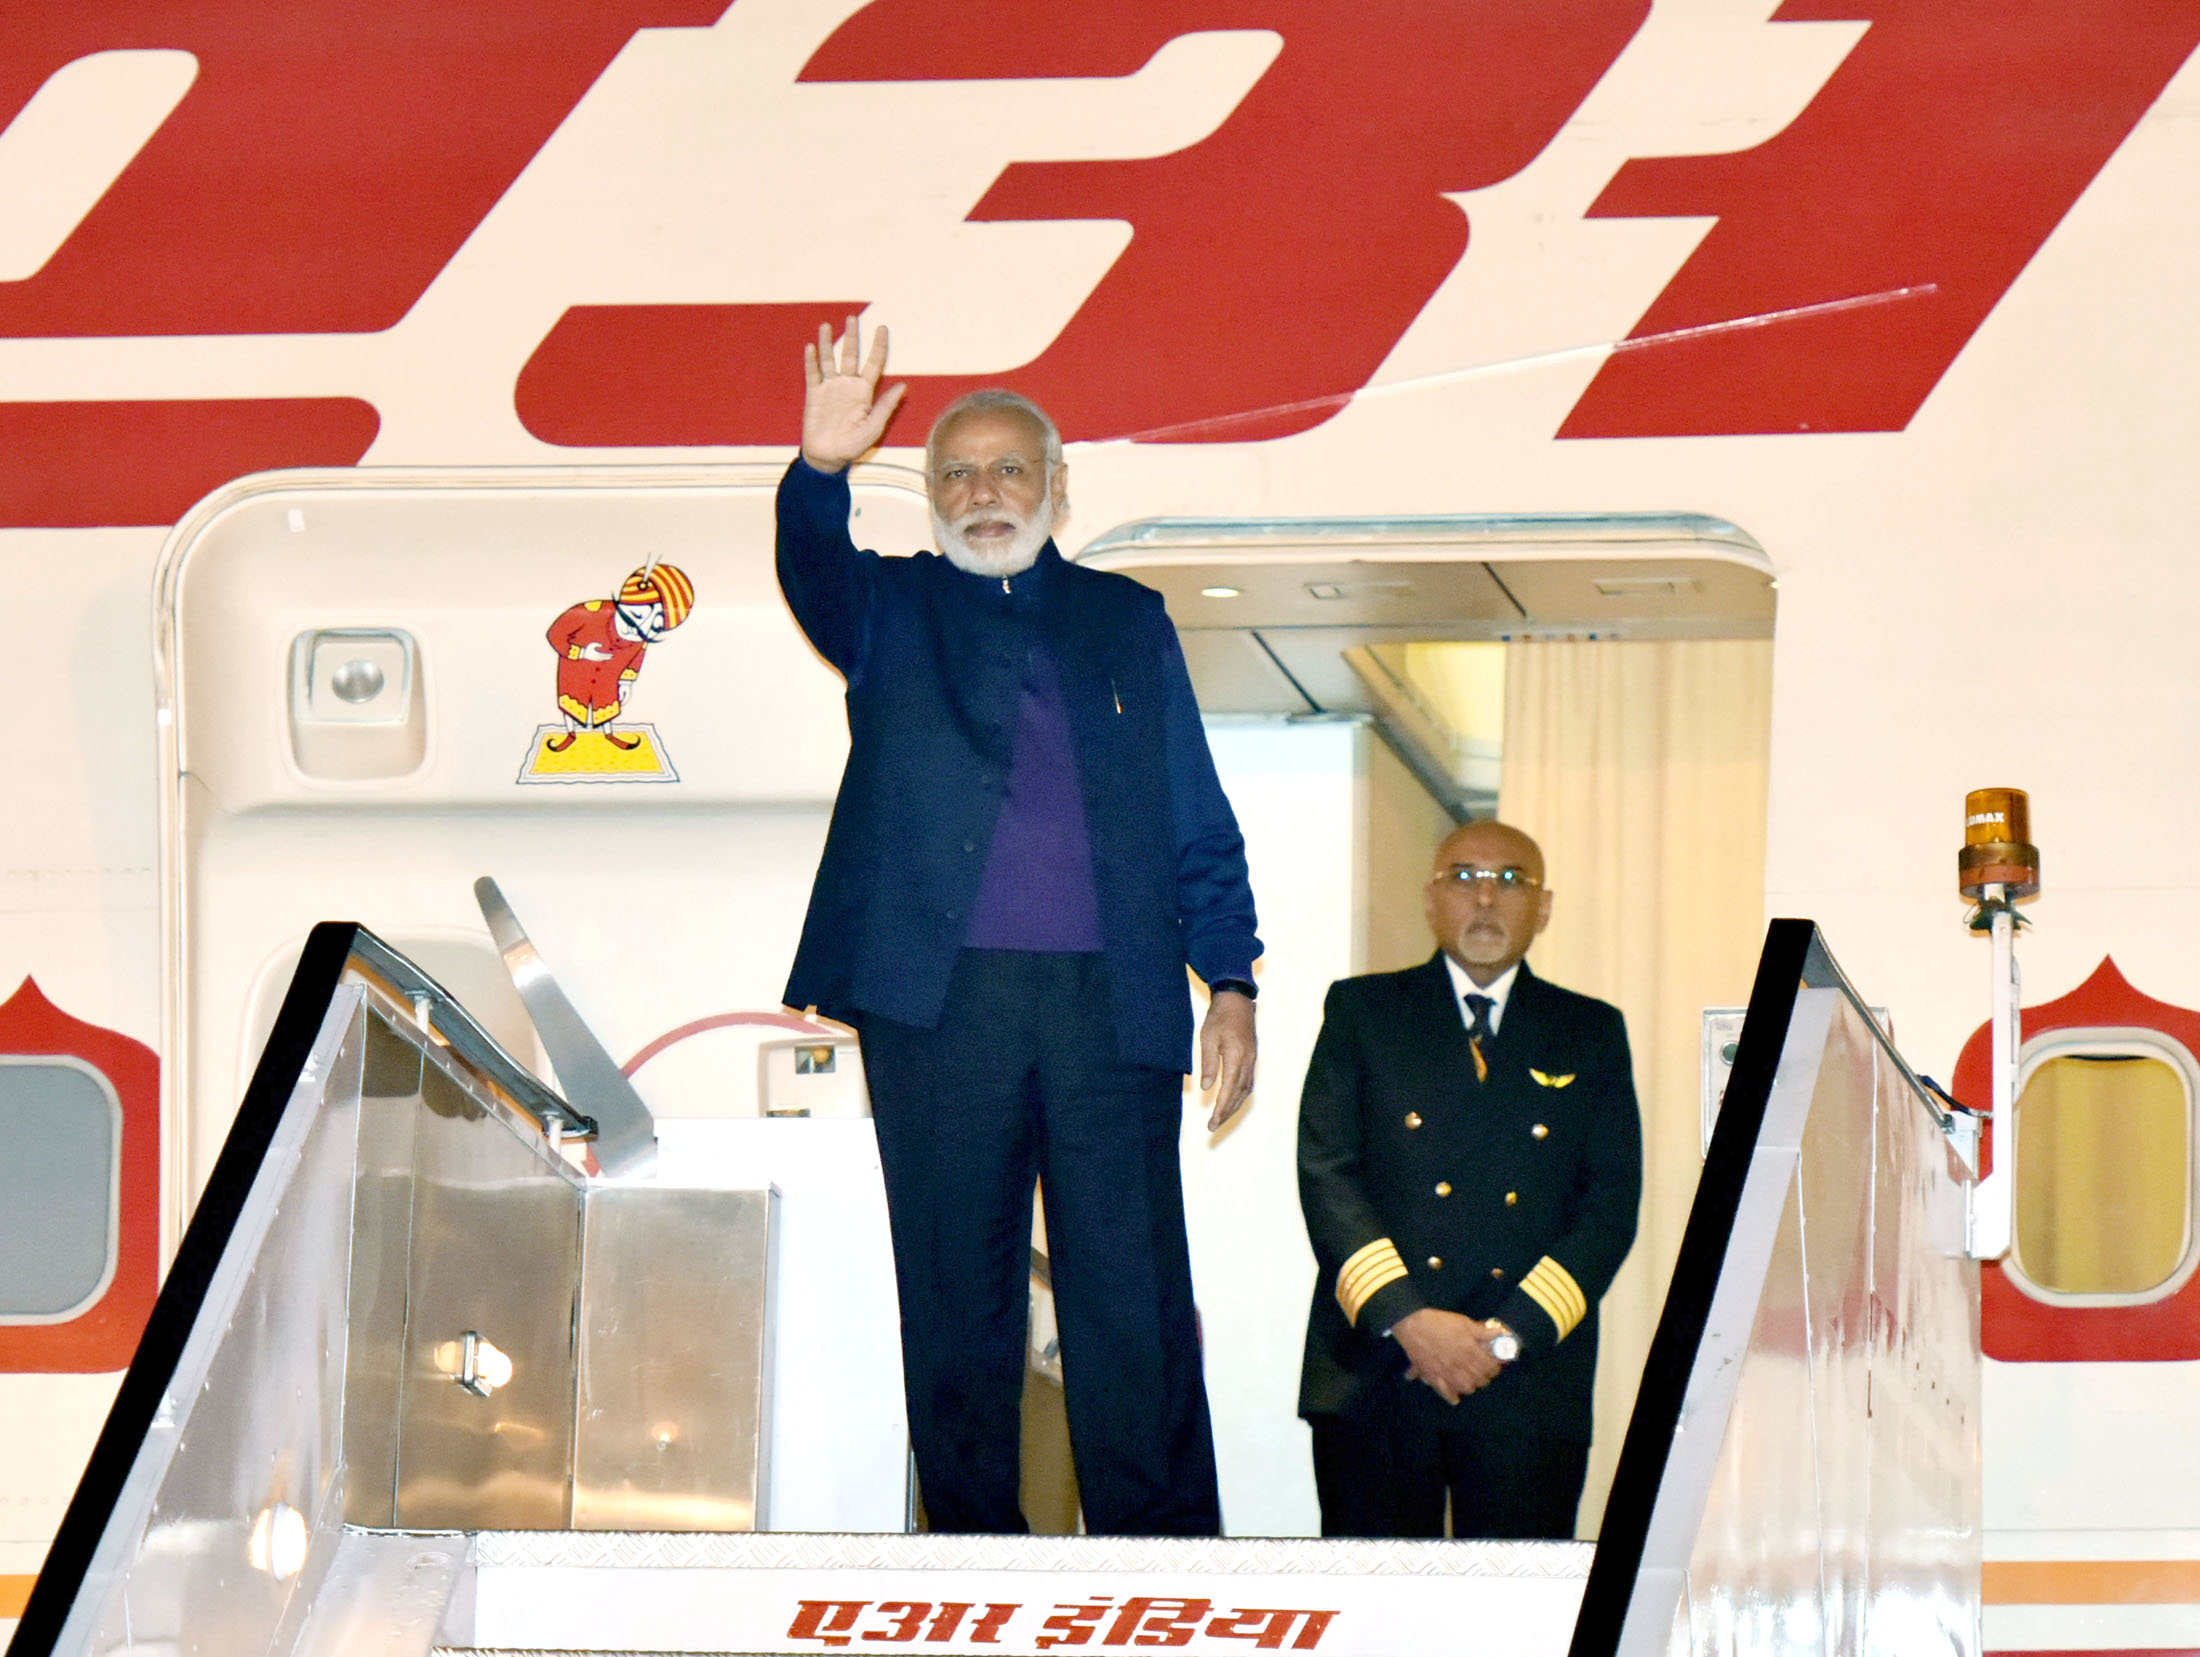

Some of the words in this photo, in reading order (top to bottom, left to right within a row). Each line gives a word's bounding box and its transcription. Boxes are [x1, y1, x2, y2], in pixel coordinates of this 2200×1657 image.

[785, 1597, 1023, 1651] एअर
[1030, 1591, 1344, 1654] इंडिया